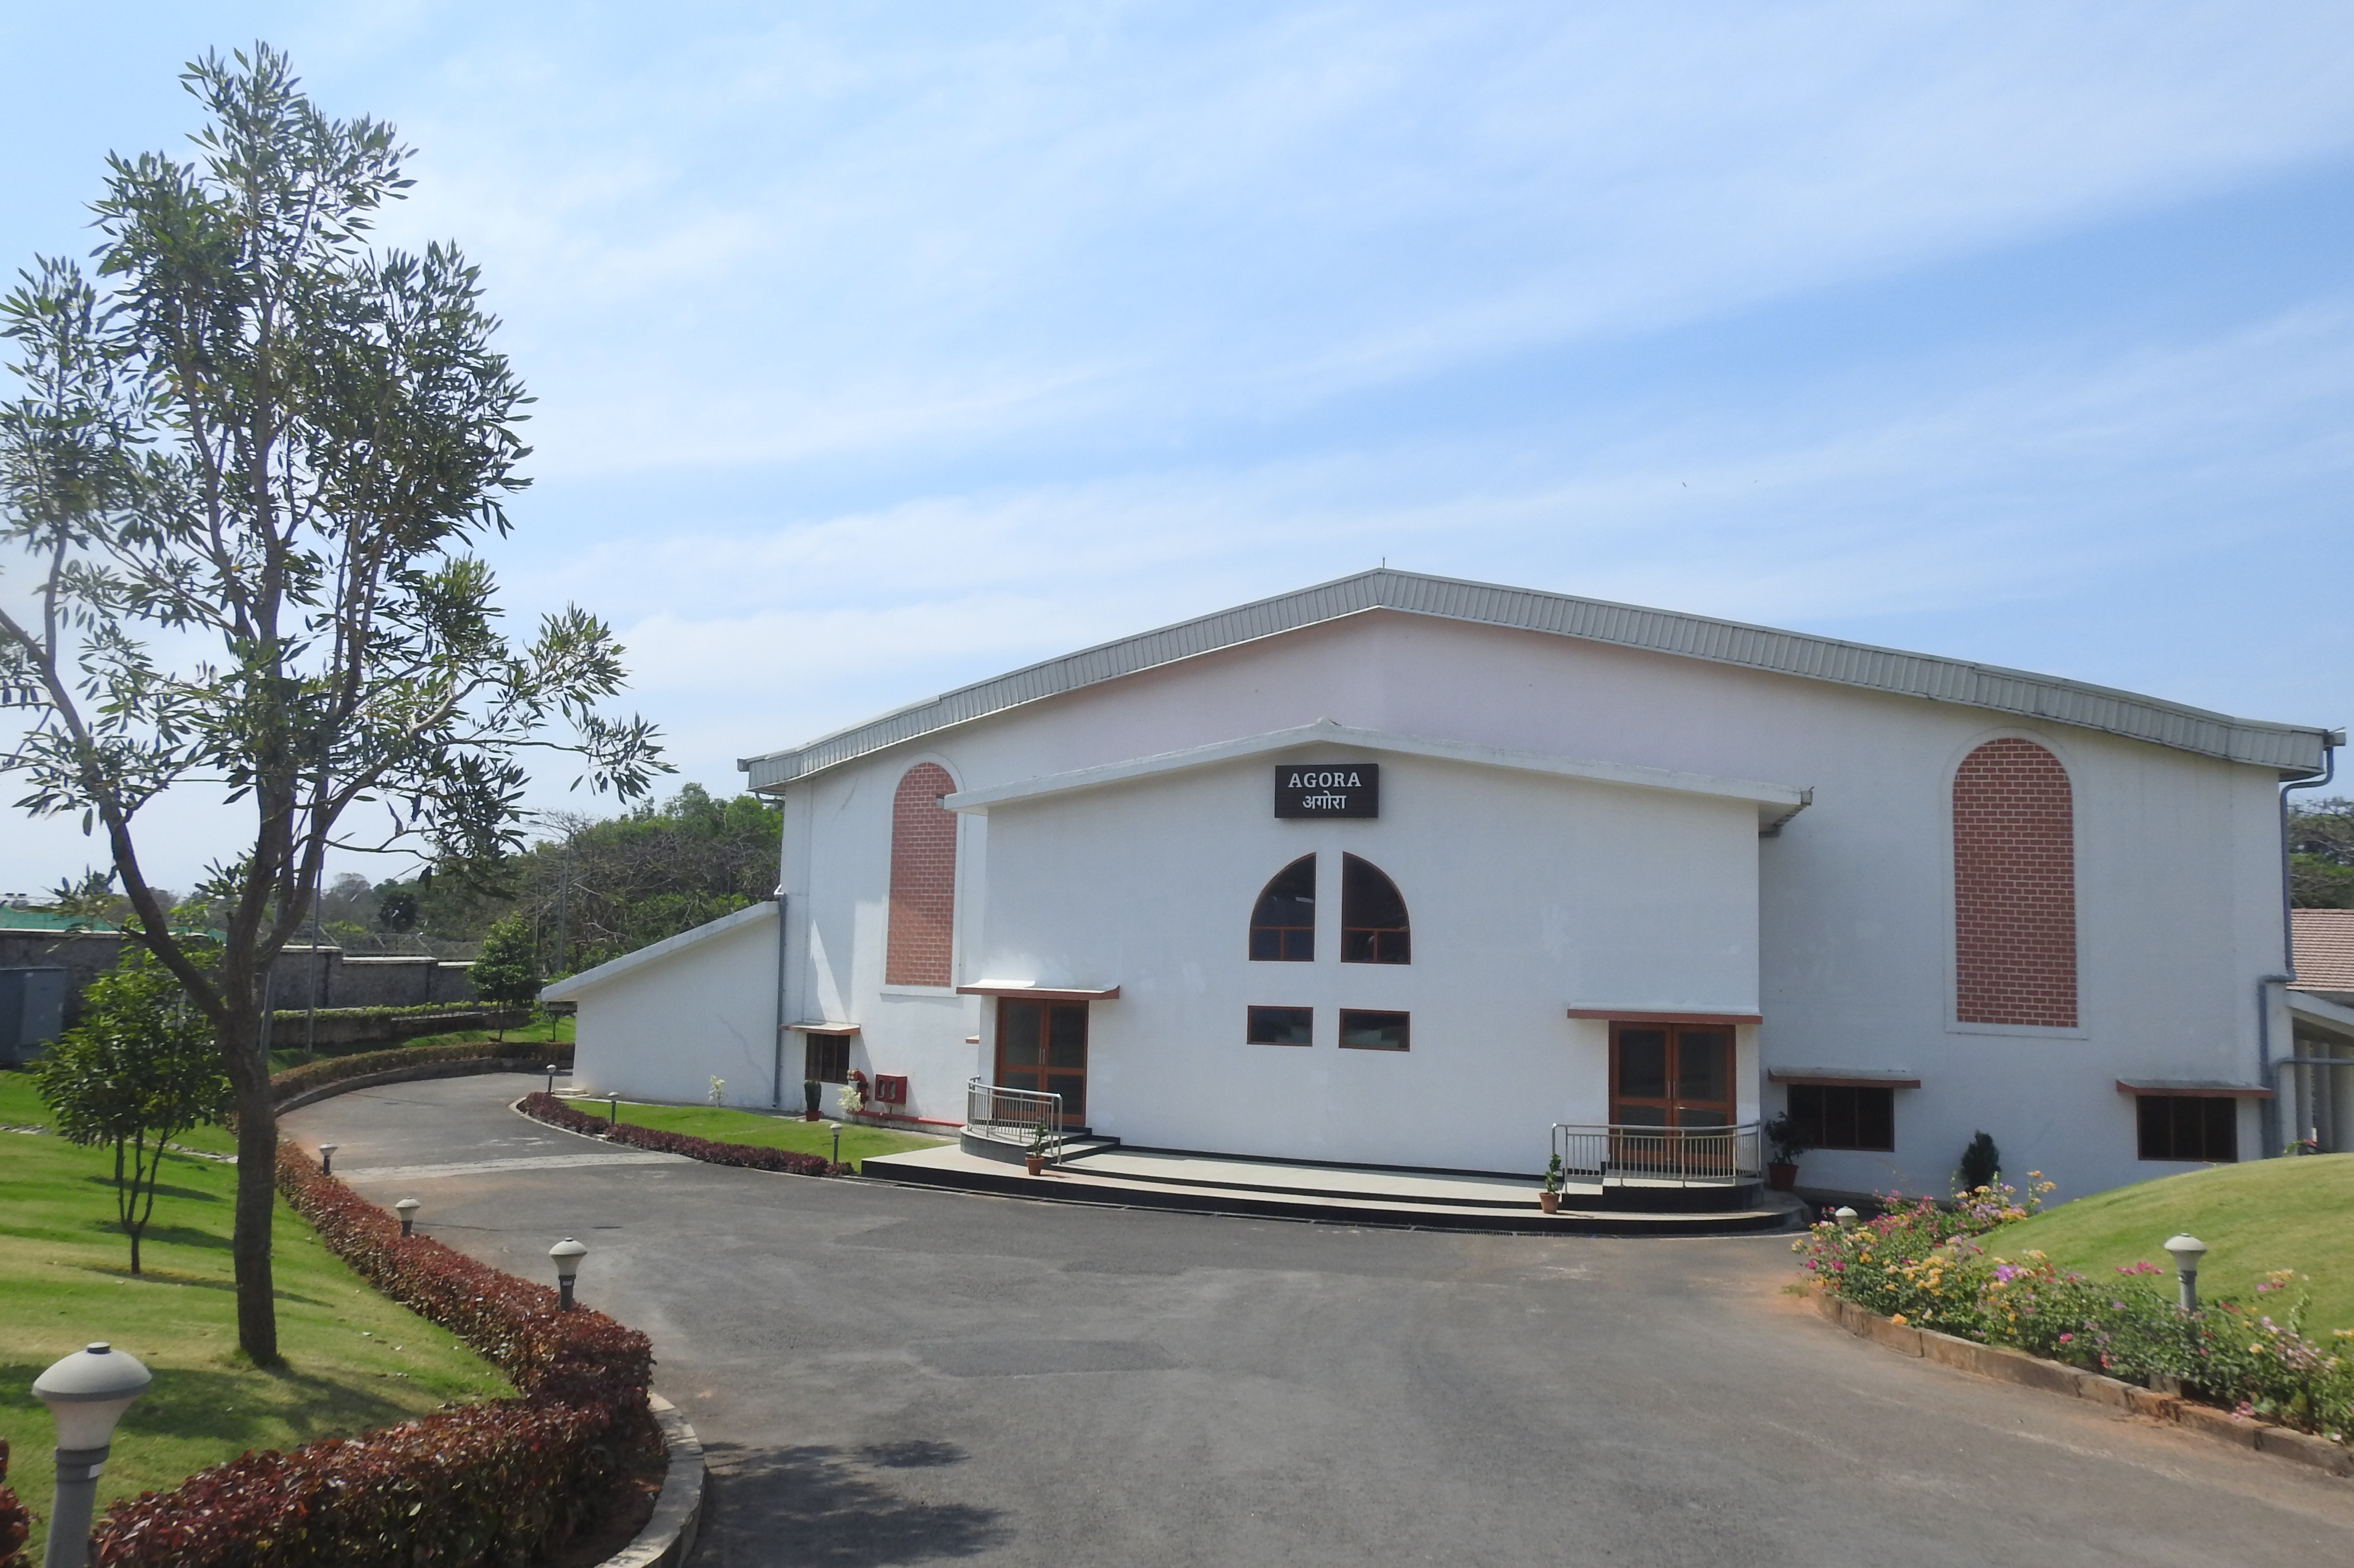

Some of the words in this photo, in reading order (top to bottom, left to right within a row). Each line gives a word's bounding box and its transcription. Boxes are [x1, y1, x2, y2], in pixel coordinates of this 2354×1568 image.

[1286, 771, 1362, 789] AGORA
[1301, 788, 1349, 810] अगोरा